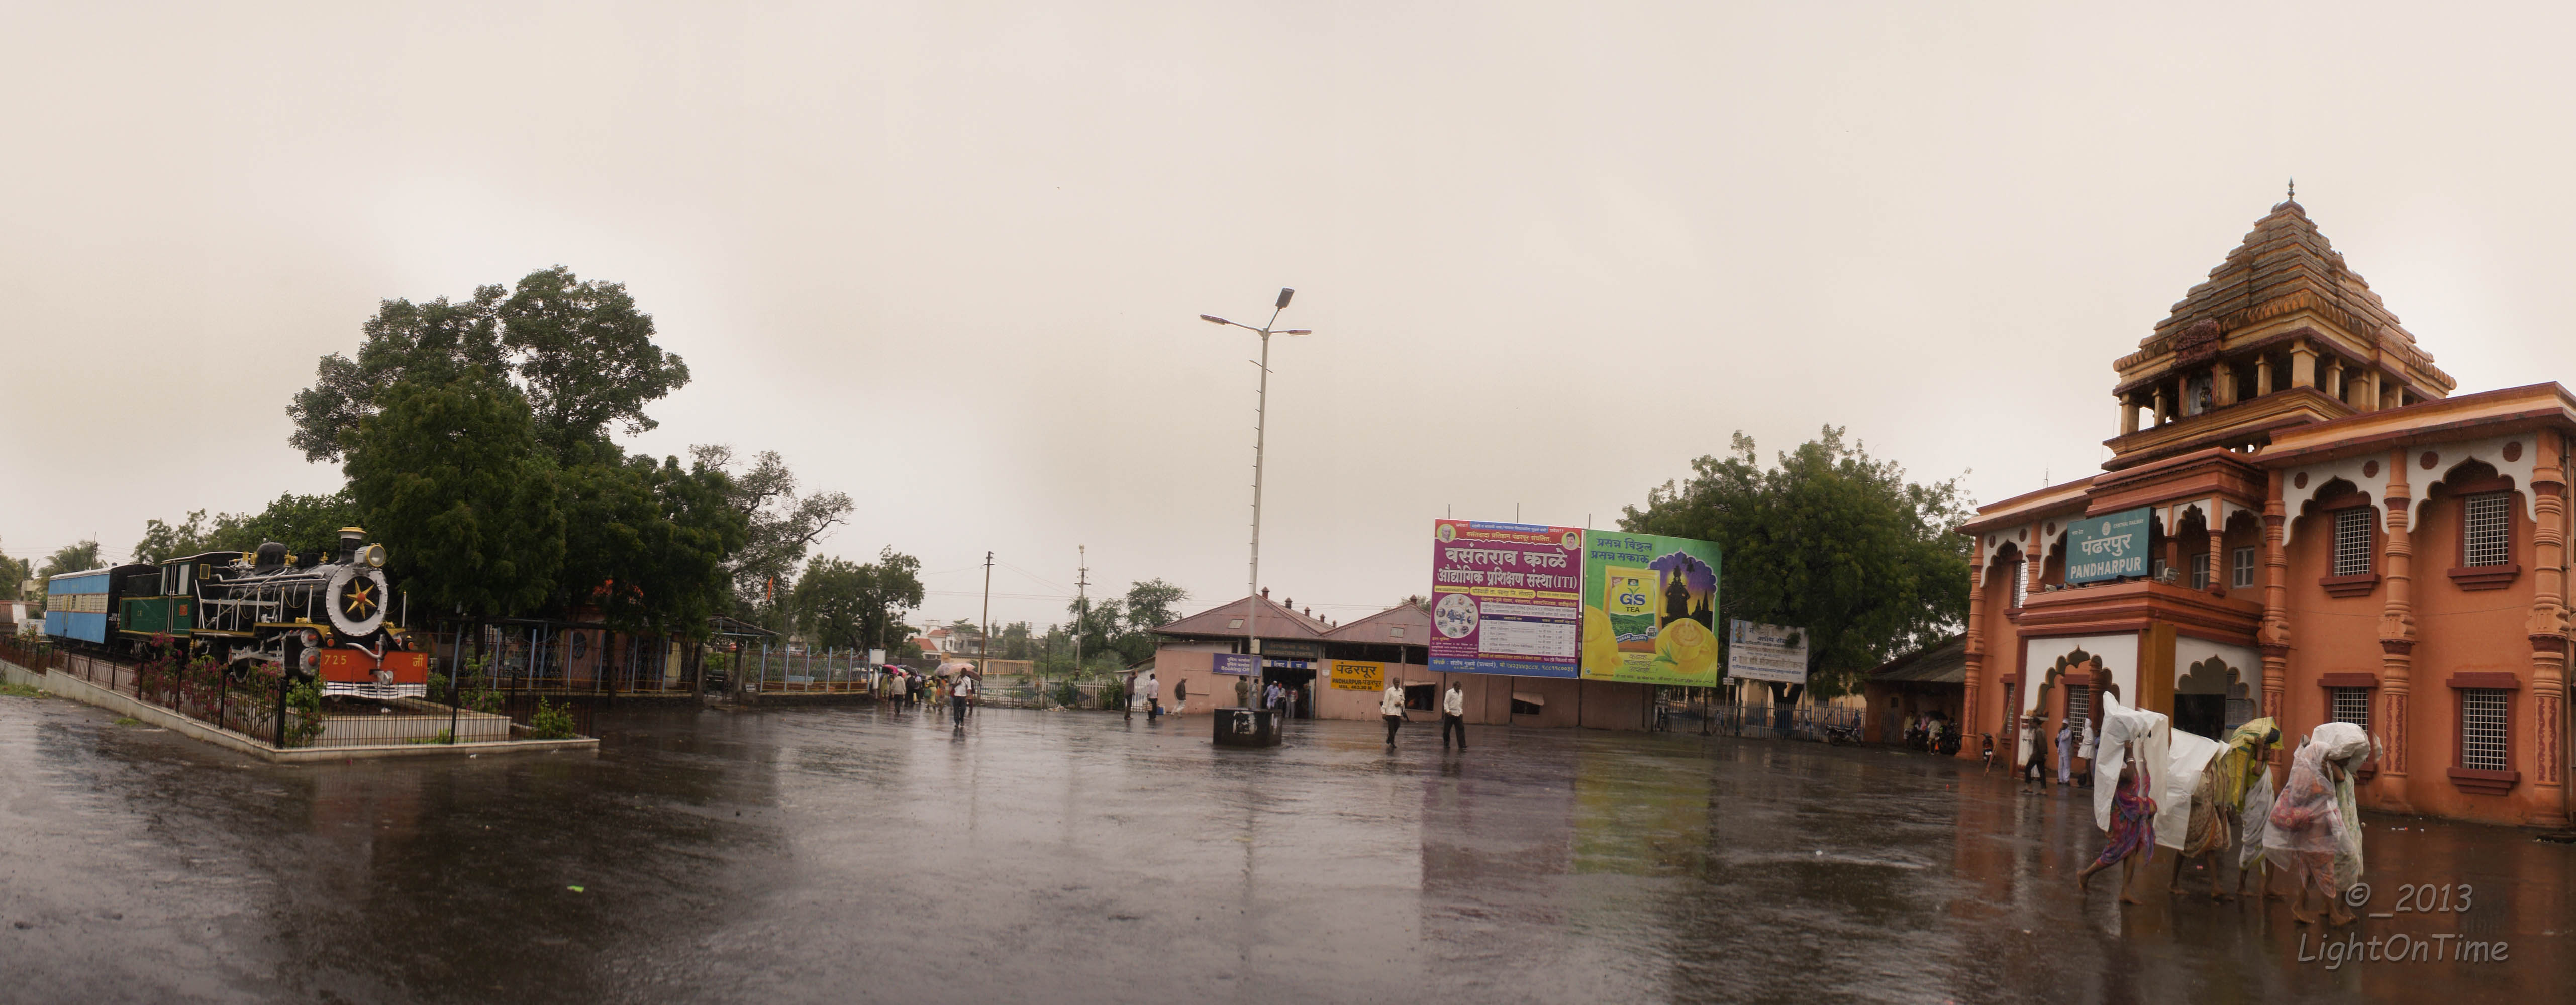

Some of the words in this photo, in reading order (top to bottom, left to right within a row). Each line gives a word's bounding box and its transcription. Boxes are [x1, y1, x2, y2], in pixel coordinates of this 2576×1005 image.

[1437, 561, 1488, 586] औद्योगिक
[1464, 528, 1491, 539] वसंतदादा
[1442, 537, 1519, 569] वसंतराव
[1489, 529, 1513, 541] प्रतिष्ठान
[1483, 562, 1527, 588] प्रशिक्षण
[1509, 531, 1531, 544] पंढरपूर
[1527, 530, 1552, 545] संचलित,
[1524, 567, 1556, 591] संस्था
[1522, 544, 1570, 573] काळे
[1554, 572, 1577, 592] (ITI)
[1590, 547, 1617, 562] प्रसन्न
[1593, 533, 1623, 550] प्रसन्न
[1615, 549, 1651, 566] सकाक
[1619, 533, 1654, 553] विठ्ठल
[2078, 531, 2133, 559] पंढरपुर
[2069, 553, 2144, 580] PANDHARPUR
[1623, 602, 1641, 613] TEA
[1617, 590, 1649, 609] GS
[2343, 879, 2475, 920] ©_2013
[2293, 929, 2433, 973] LightOn
[2430, 931, 2517, 964] Time